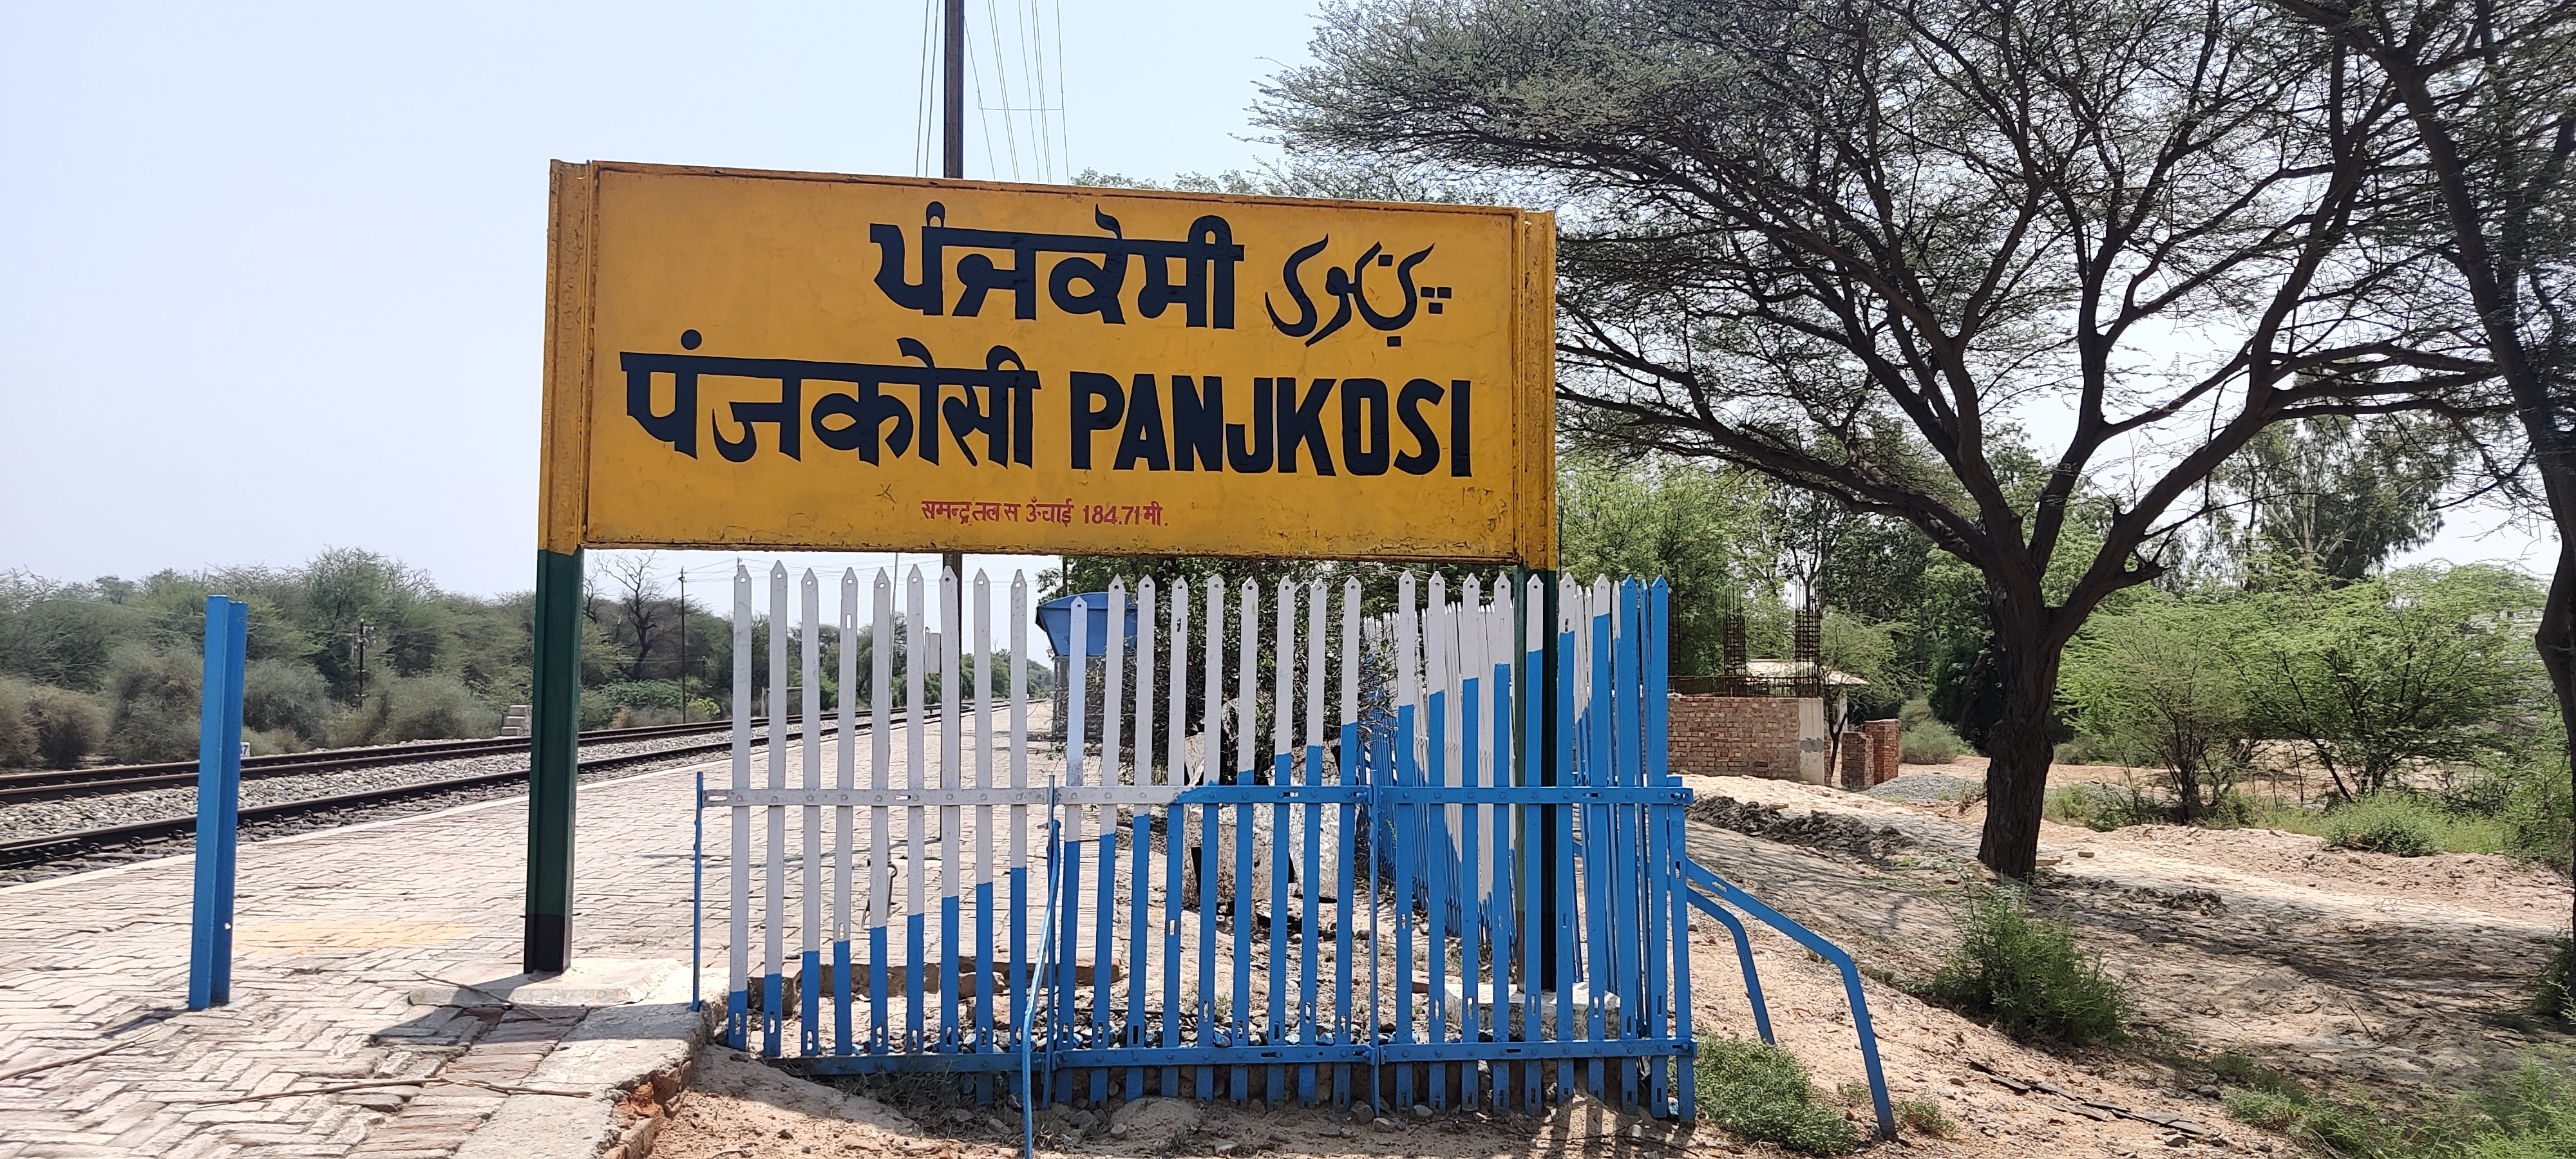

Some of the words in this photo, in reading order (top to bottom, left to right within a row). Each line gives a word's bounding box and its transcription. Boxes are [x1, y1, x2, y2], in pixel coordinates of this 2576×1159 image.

[854, 191, 1264, 350] ਪੰਜਕੇਸੀ
[609, 330, 1055, 487] पंजकोसी
[1054, 353, 1482, 484] PANJKOSI
[917, 496, 974, 529] समन्द्र
[970, 496, 1003, 527] तल
[1003, 498, 1025, 525] स
[1023, 492, 1080, 531] ऊँचाई
[1077, 496, 1143, 532] 184.71
[1142, 497, 1168, 531] मी